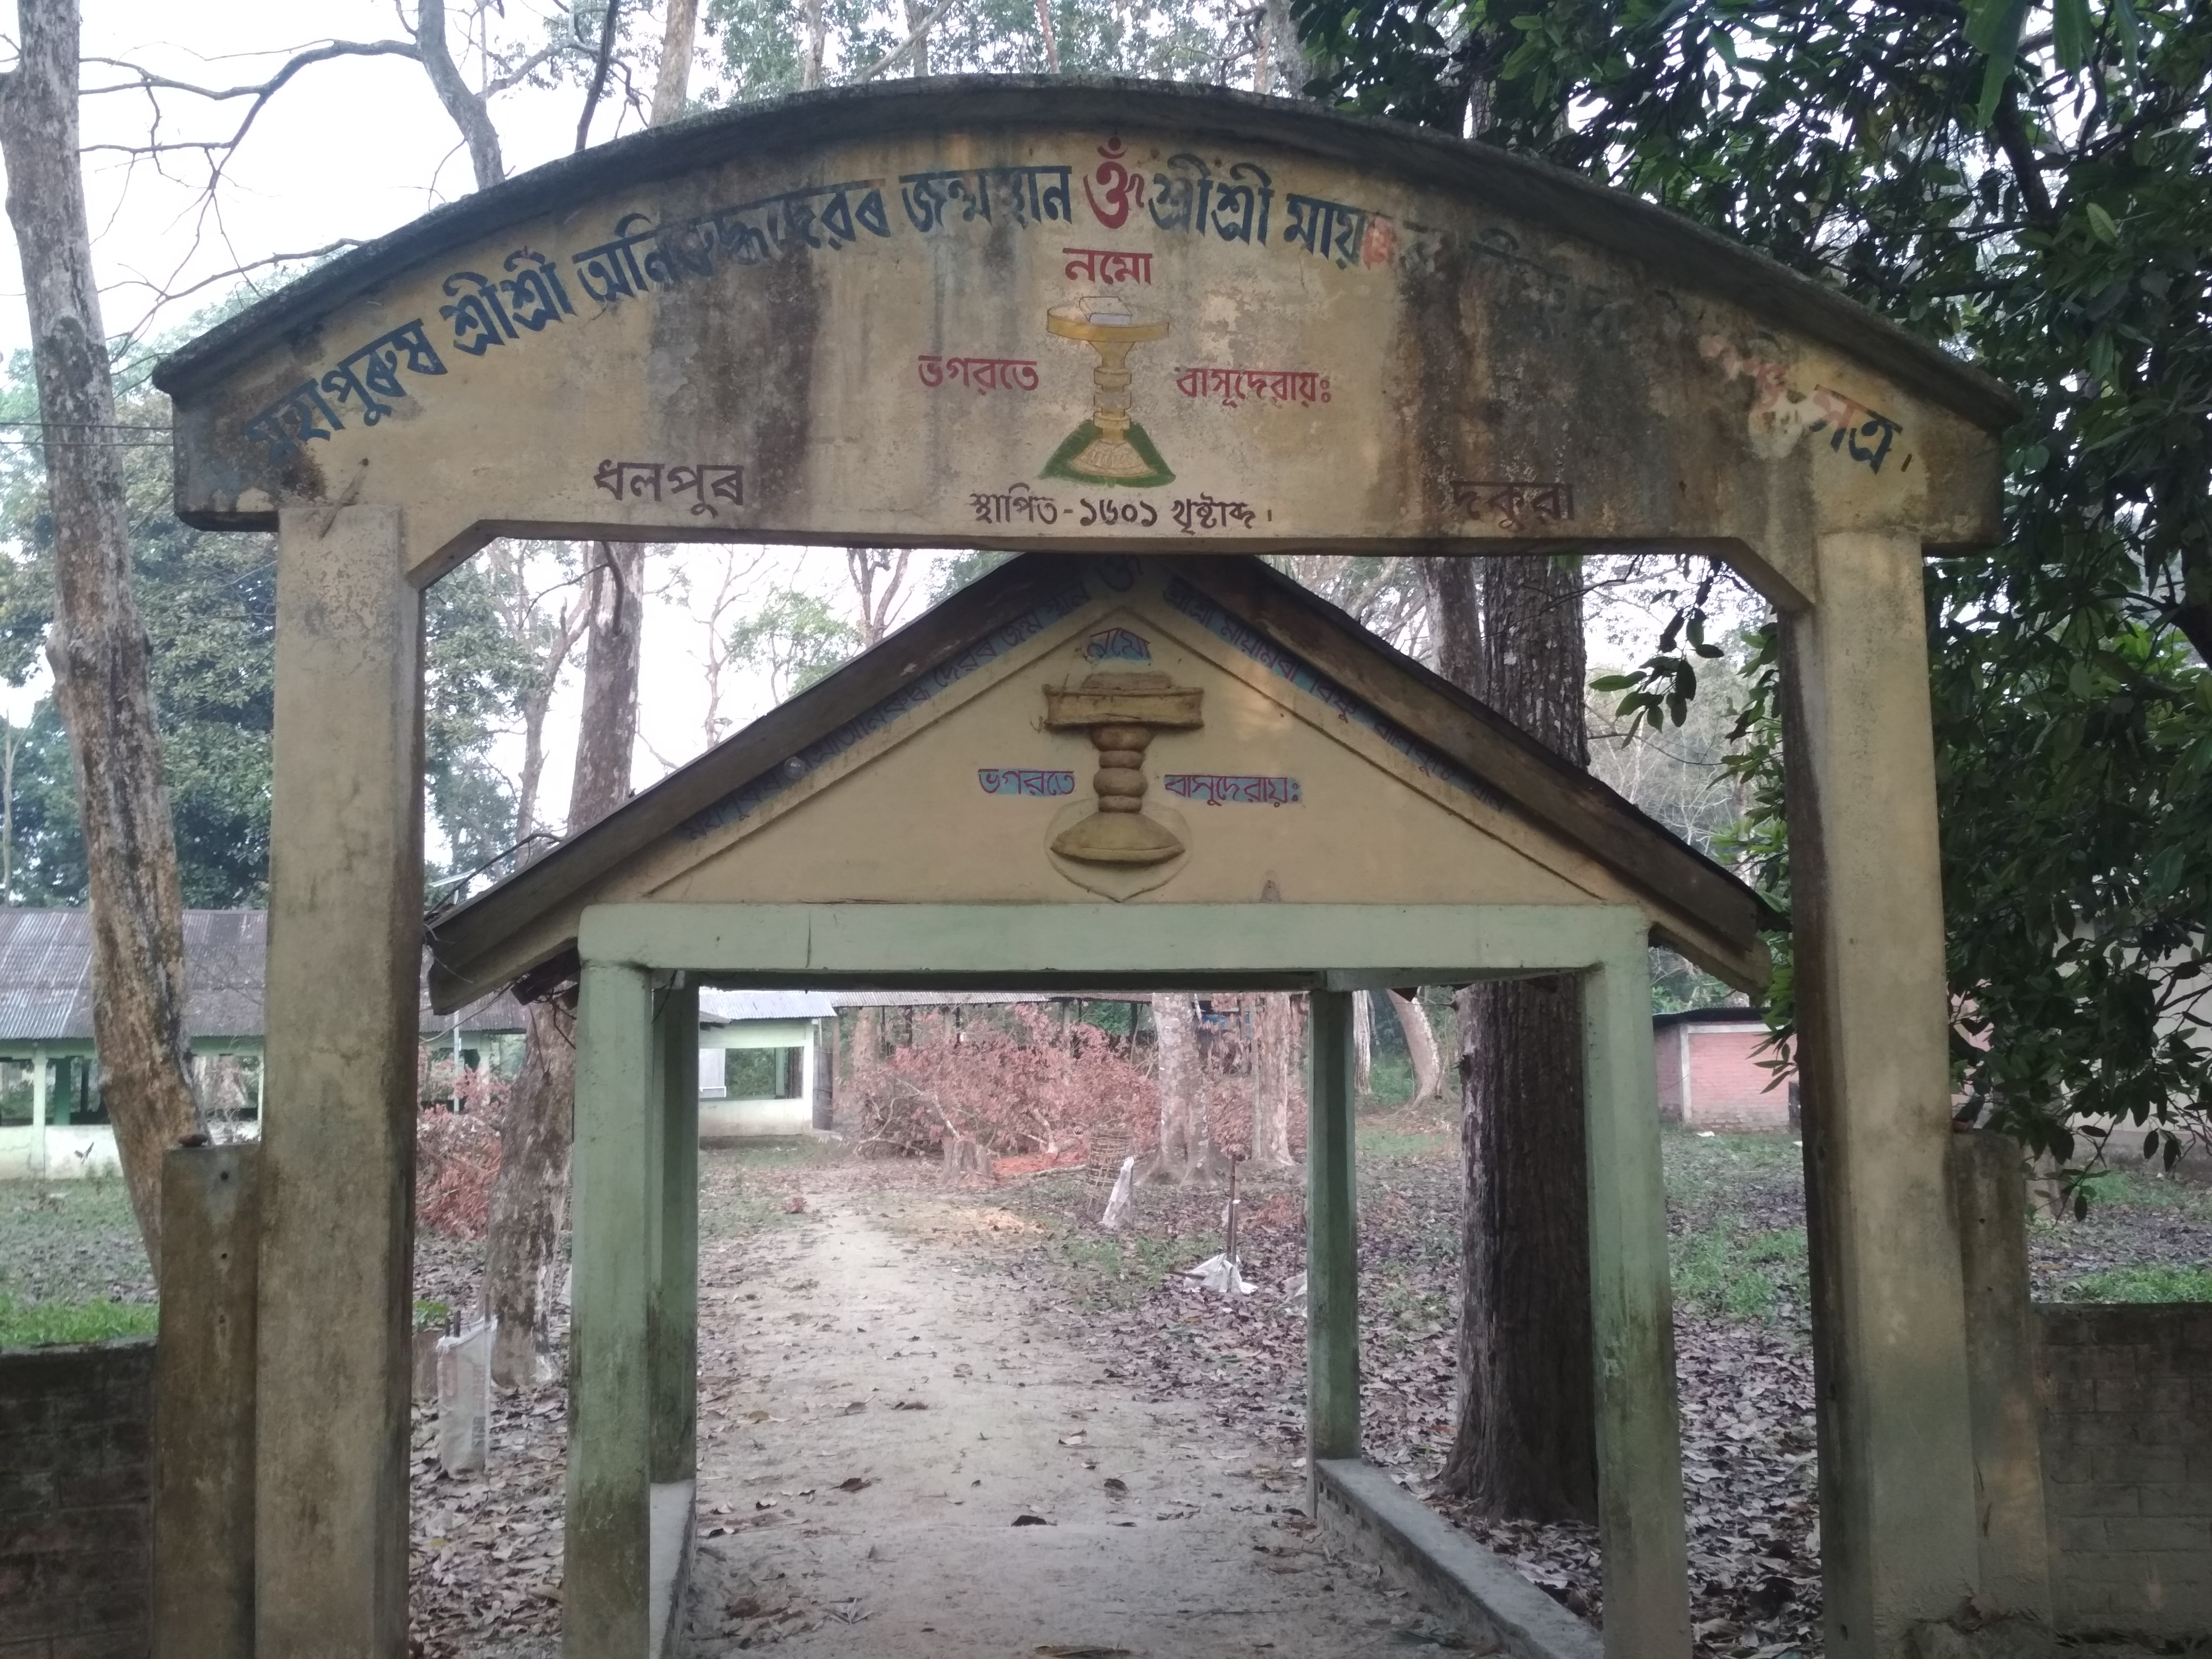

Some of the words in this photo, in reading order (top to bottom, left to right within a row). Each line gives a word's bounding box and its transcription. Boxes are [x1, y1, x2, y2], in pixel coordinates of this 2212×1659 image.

[891, 153, 1078, 239] জন্মস্থান
[1077, 129, 1154, 236] ॐ
[1141, 137, 1279, 253] শ্ৰীশ্ৰী
[565, 170, 896, 313] অনিরুদ্ধদেৱৰ
[1060, 238, 1158, 294] নমো
[1280, 186, 1380, 273] মায়
[426, 239, 573, 365] শ্রীশ্রী
[232, 312, 454, 477] মহাপুৰুষ
[912, 349, 1041, 397] ভগৱতে
[1177, 361, 1327, 406] বসুদেরায়
[589, 448, 745, 525] ধলপুৰ
[969, 470, 1065, 530] স্থাপিত
[1075, 488, 1163, 533] ১৬০১
[1164, 491, 1255, 537] থৃষ্টাব্দ
[1450, 476, 1578, 533] দকুৱা
[1082, 619, 1157, 663] নমো
[977, 763, 1083, 801] ভগৱতে
[1153, 768, 1296, 812] বাসুদেরায়